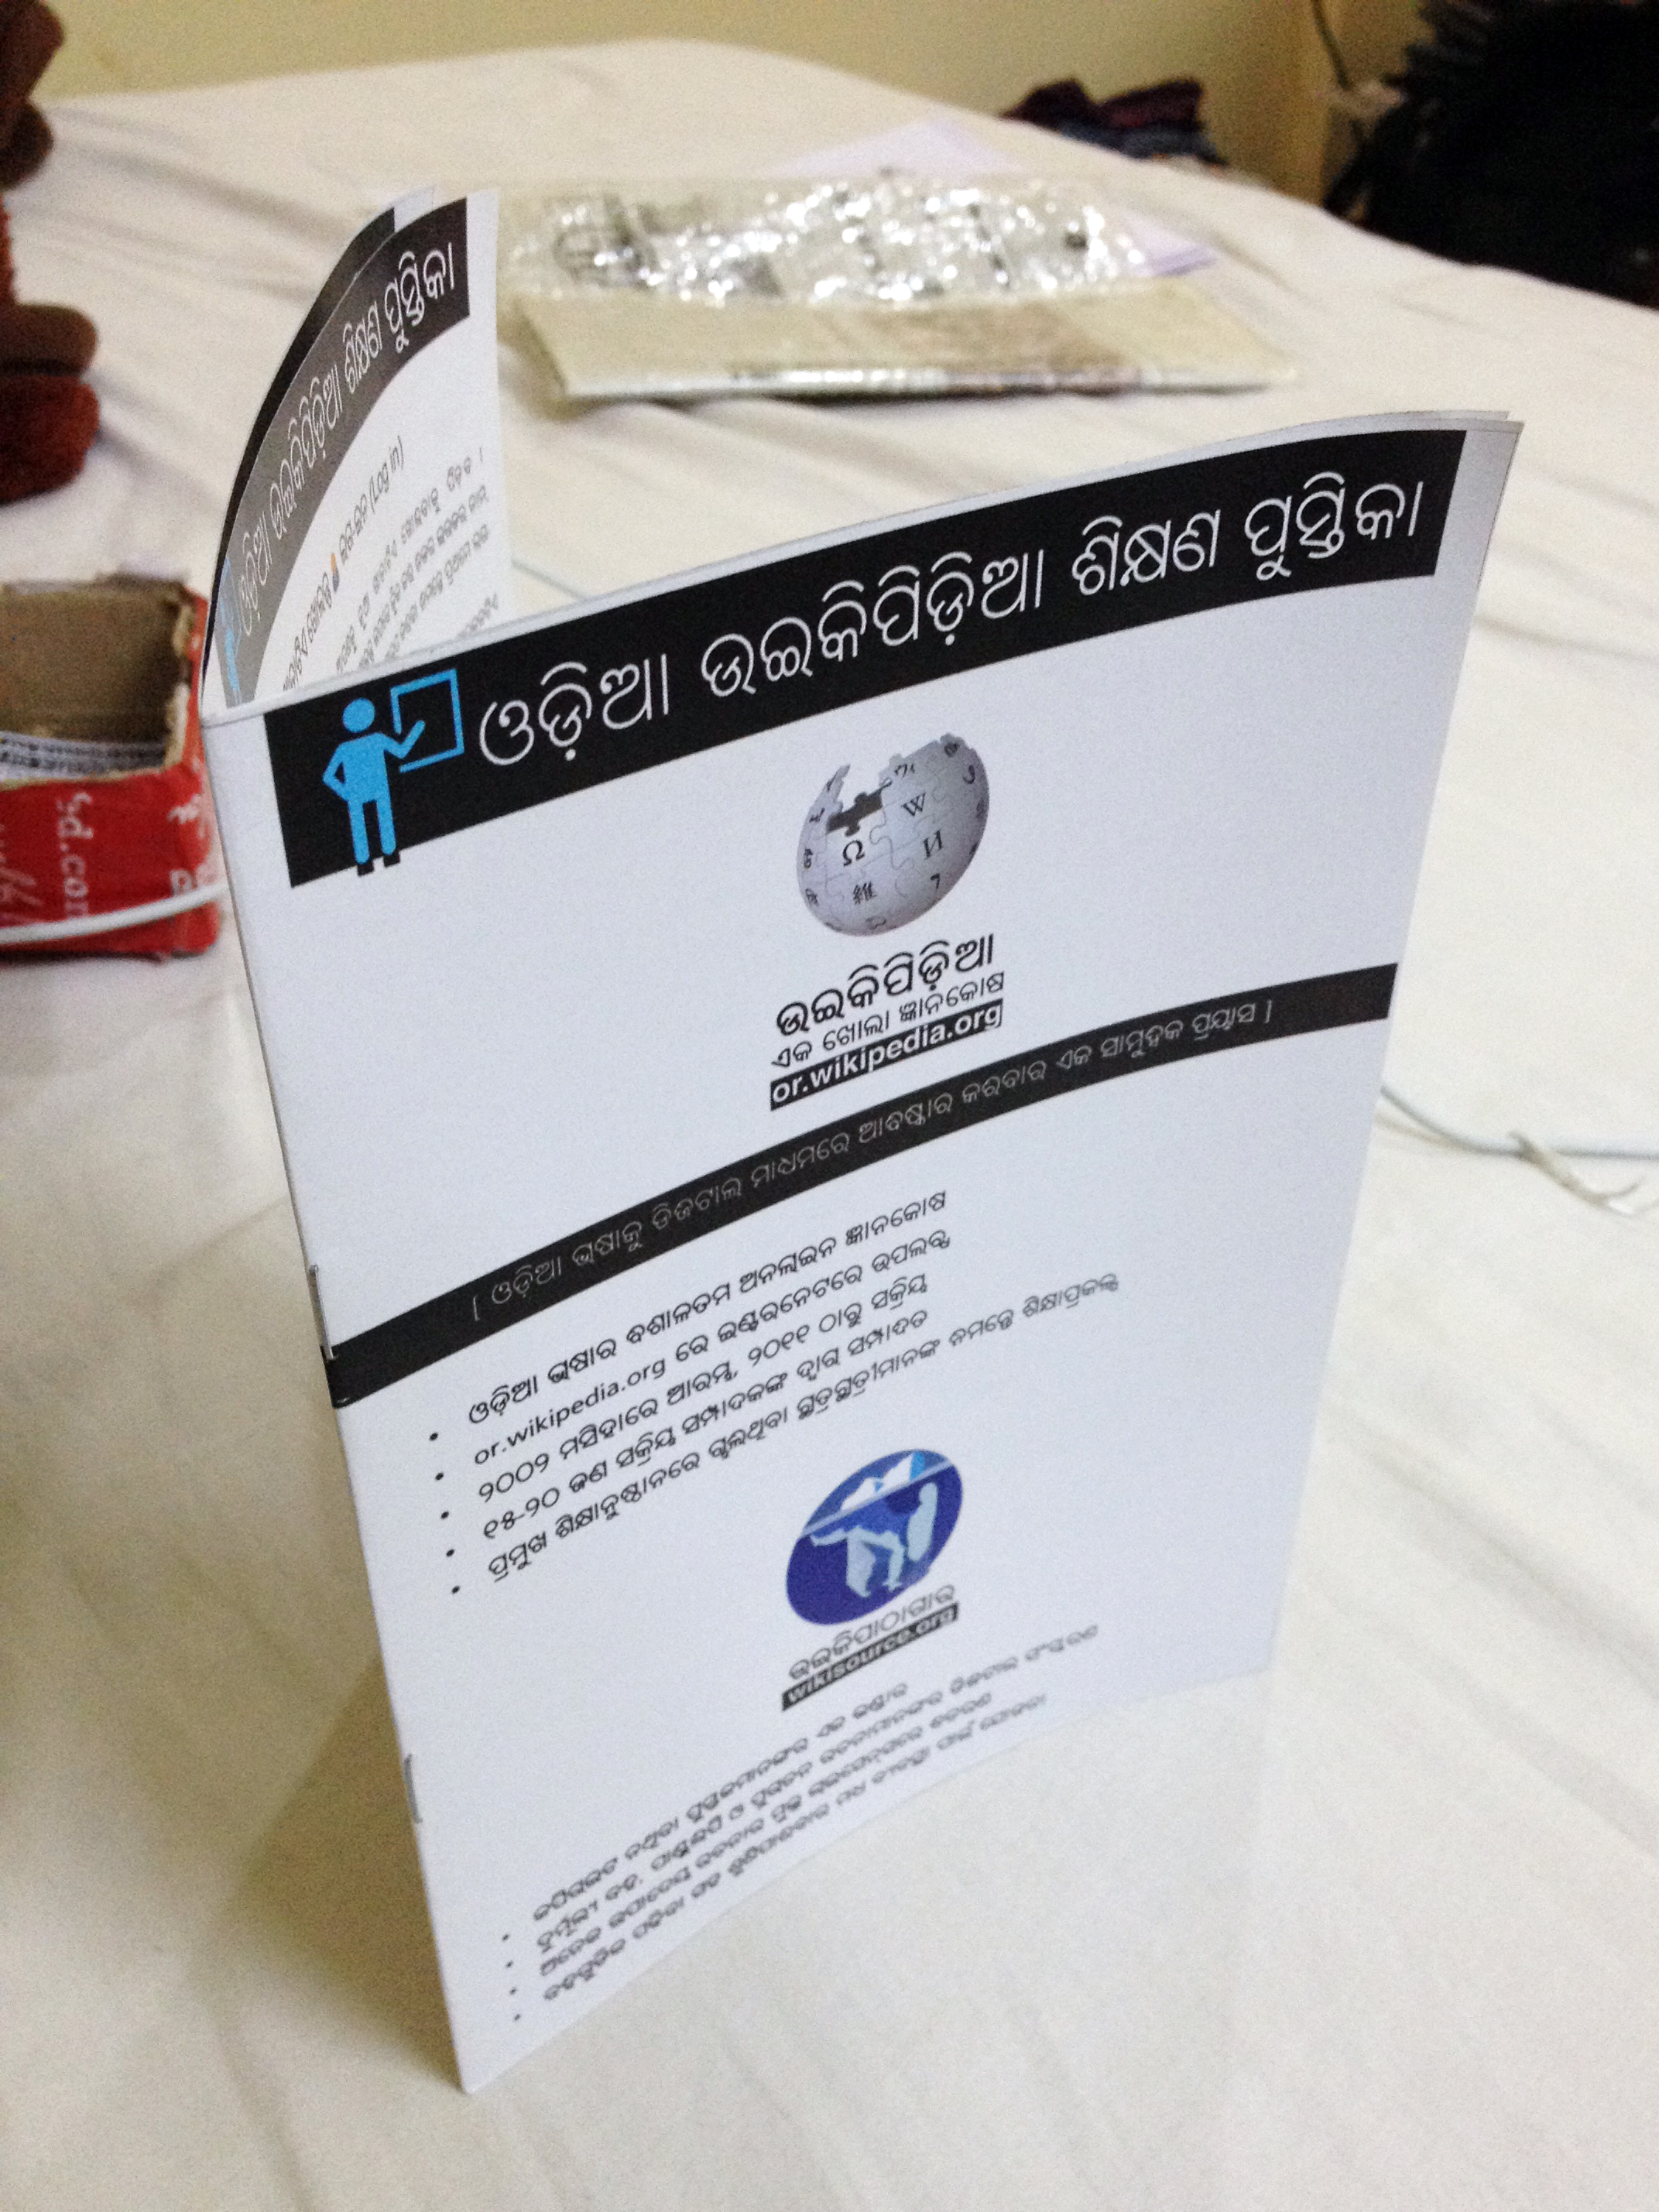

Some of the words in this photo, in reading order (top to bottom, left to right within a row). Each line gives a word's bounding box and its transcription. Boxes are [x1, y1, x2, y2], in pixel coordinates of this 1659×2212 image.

[372, 239, 457, 361] ପୁସ୍ତିକା
[334, 295, 388, 399] ଶିକ୍ଷଣ
[261, 361, 350, 546] ଉଇକିପିଡ଼ିଆ
[359, 455, 395, 509] (Log
[379, 440, 408, 475] in)
[1068, 506, 1222, 603] ଶିକ୍ଷଣ
[1236, 466, 1434, 589] ପୁସ୍ତିକା
[695, 542, 1047, 704] ଉଇକିପିଡ଼ିଆ
[475, 650, 672, 772] ଓଡ଼ିଆ
[770, 1031, 814, 1080] ଏକ
[811, 1005, 897, 1055] ଖୋଲା
[771, 930, 998, 1042] ଉଇକିପିଡ଼ିଆ
[771, 998, 1005, 1108] or.wikipedia.org
[893, 967, 1006, 1023] ଜ୍ଞାନକୋଷ
[957, 1053, 1051, 1114] କରବାର
[1051, 1033, 1095, 1079] ଏକ
[1095, 1011, 1188, 1066] ସାମୁହକ
[1188, 999, 1260, 1048] ପ୍ରୟାସ
[853, 1085, 956, 1149] ଆବଷ୍କାର
[747, 1125, 852, 1197] ମାଧମରେ
[466, 1373, 541, 1431] ଓଡ଼ିଆ
[477, 1446, 551, 1505] ୨୦୦୨
[478, 1481, 567, 1546] ୧୫-୨୦
[482, 1251, 565, 1314] ଓଡ଼ିଆ
[471, 1378, 627, 1473] or.wikipedia.
[540, 1334, 622, 1389] ଘଷାର
[561, 1456, 609, 1498] ଜଣ
[568, 1216, 646, 1274] ଭାଷାକୁ
[555, 1392, 663, 1460] ମସିହାରେ
[544, 1447, 705, 1545] ଶିକ୍ଷାନୁଷ୍ଠାନରେ
[618, 1354, 665, 1394] .org
[615, 1422, 683, 1474] ସକ୍ରିୟ
[622, 1279, 736, 1353] ବଶାଳତମ
[673, 1330, 711, 1369] ରେ
[643, 1170, 746, 1238] ଡିଜଟାଲ
[656, 1354, 742, 1410] ଆରମ୍ଭ,
[677, 1368, 791, 1440] ସମ୍ପାଦକଙ୍କ
[703, 1405, 794, 1467] ଗୁଲଥୁବା
[741, 1320, 813, 1374] ୨୦୧୧
[737, 1231, 842, 1298] ଅନଲଇନ
[711, 1256, 869, 1350] ଇଣ୍ଟରନେଟରେ
[791, 1341, 847, 1388] ଦ୍ବାର
[814, 1296, 865, 1342] ଠାରୁ
[794, 1336, 941, 1427] ଗୁତ୍ରଗୁତ୍ରୀମାନଙ୍କ
[843, 1301, 934, 1361] ସମ୍ପାଦତ
[841, 1186, 951, 1252] ଜ୍ଞାନକୋଷ
[865, 1269, 928, 1315] ସକ୍ରିୟ
[867, 1220, 958, 1279] ଉପଲବ୍ଧ
[943, 1303, 1020, 1352] ନମନ୍ତେ
[1016, 1270, 1125, 1326] ଶିକ୍ଷାପ୍ରକଳ୍ପ
[480, 1524, 554, 1584] ପ୍ରମୁଖ
[784, 1604, 957, 1711] wikisource.org
[783, 1579, 960, 1687] ଉଇକିପାଠାଗାର